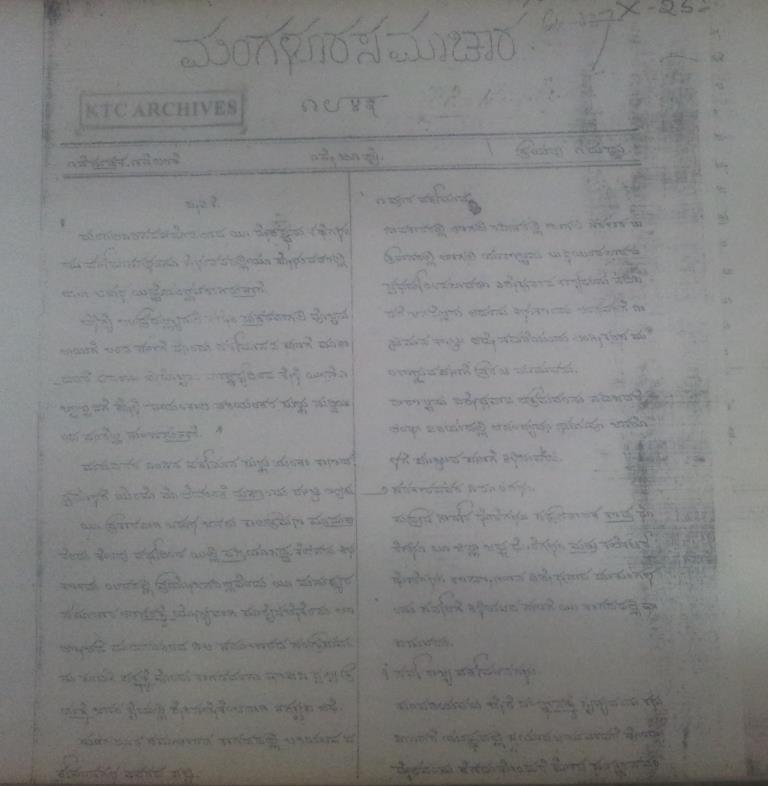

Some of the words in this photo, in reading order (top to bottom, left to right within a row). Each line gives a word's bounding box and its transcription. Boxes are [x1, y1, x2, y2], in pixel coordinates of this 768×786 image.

[80, 96, 133, 124] KTC
[127, 88, 240, 121] ARCHIVES